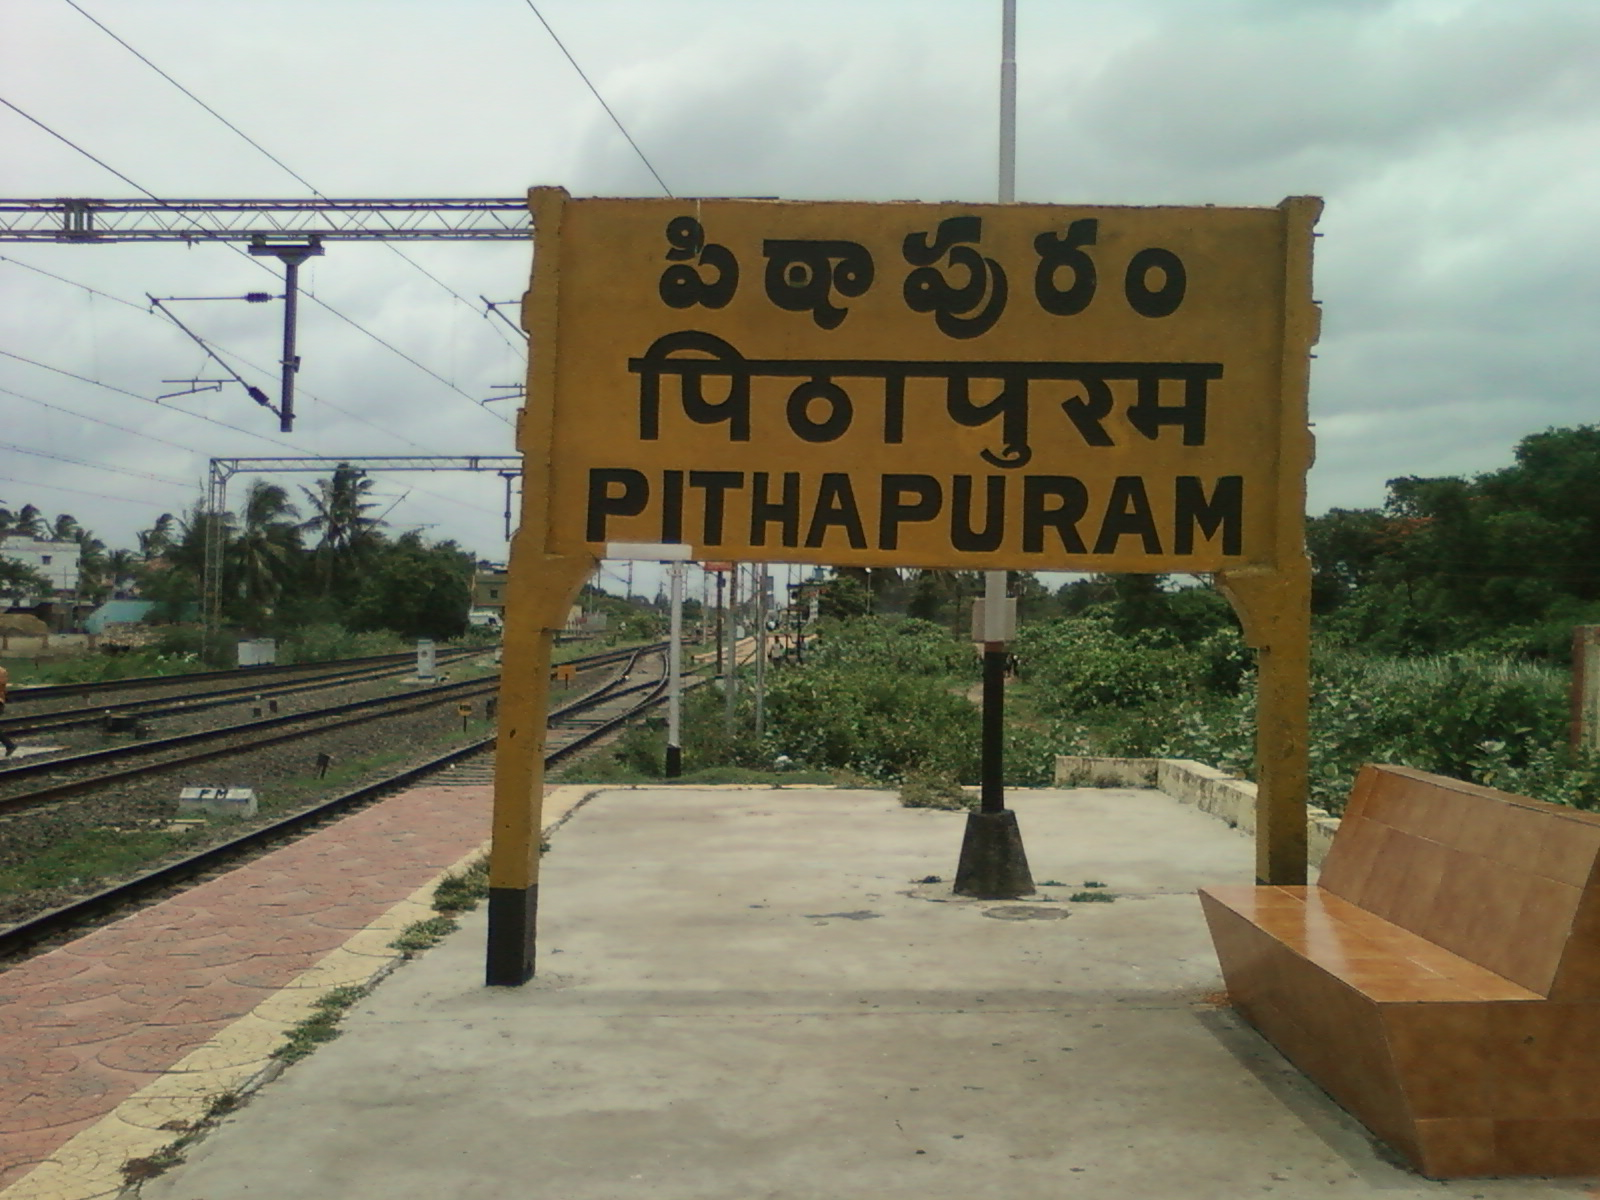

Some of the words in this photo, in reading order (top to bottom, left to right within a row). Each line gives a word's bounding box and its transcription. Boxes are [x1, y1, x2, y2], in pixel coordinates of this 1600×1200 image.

[656, 209, 1191, 344] పిఠాపురం
[623, 321, 1229, 473] पिठापुरम
[583, 461, 1245, 561] PITHAPURAM